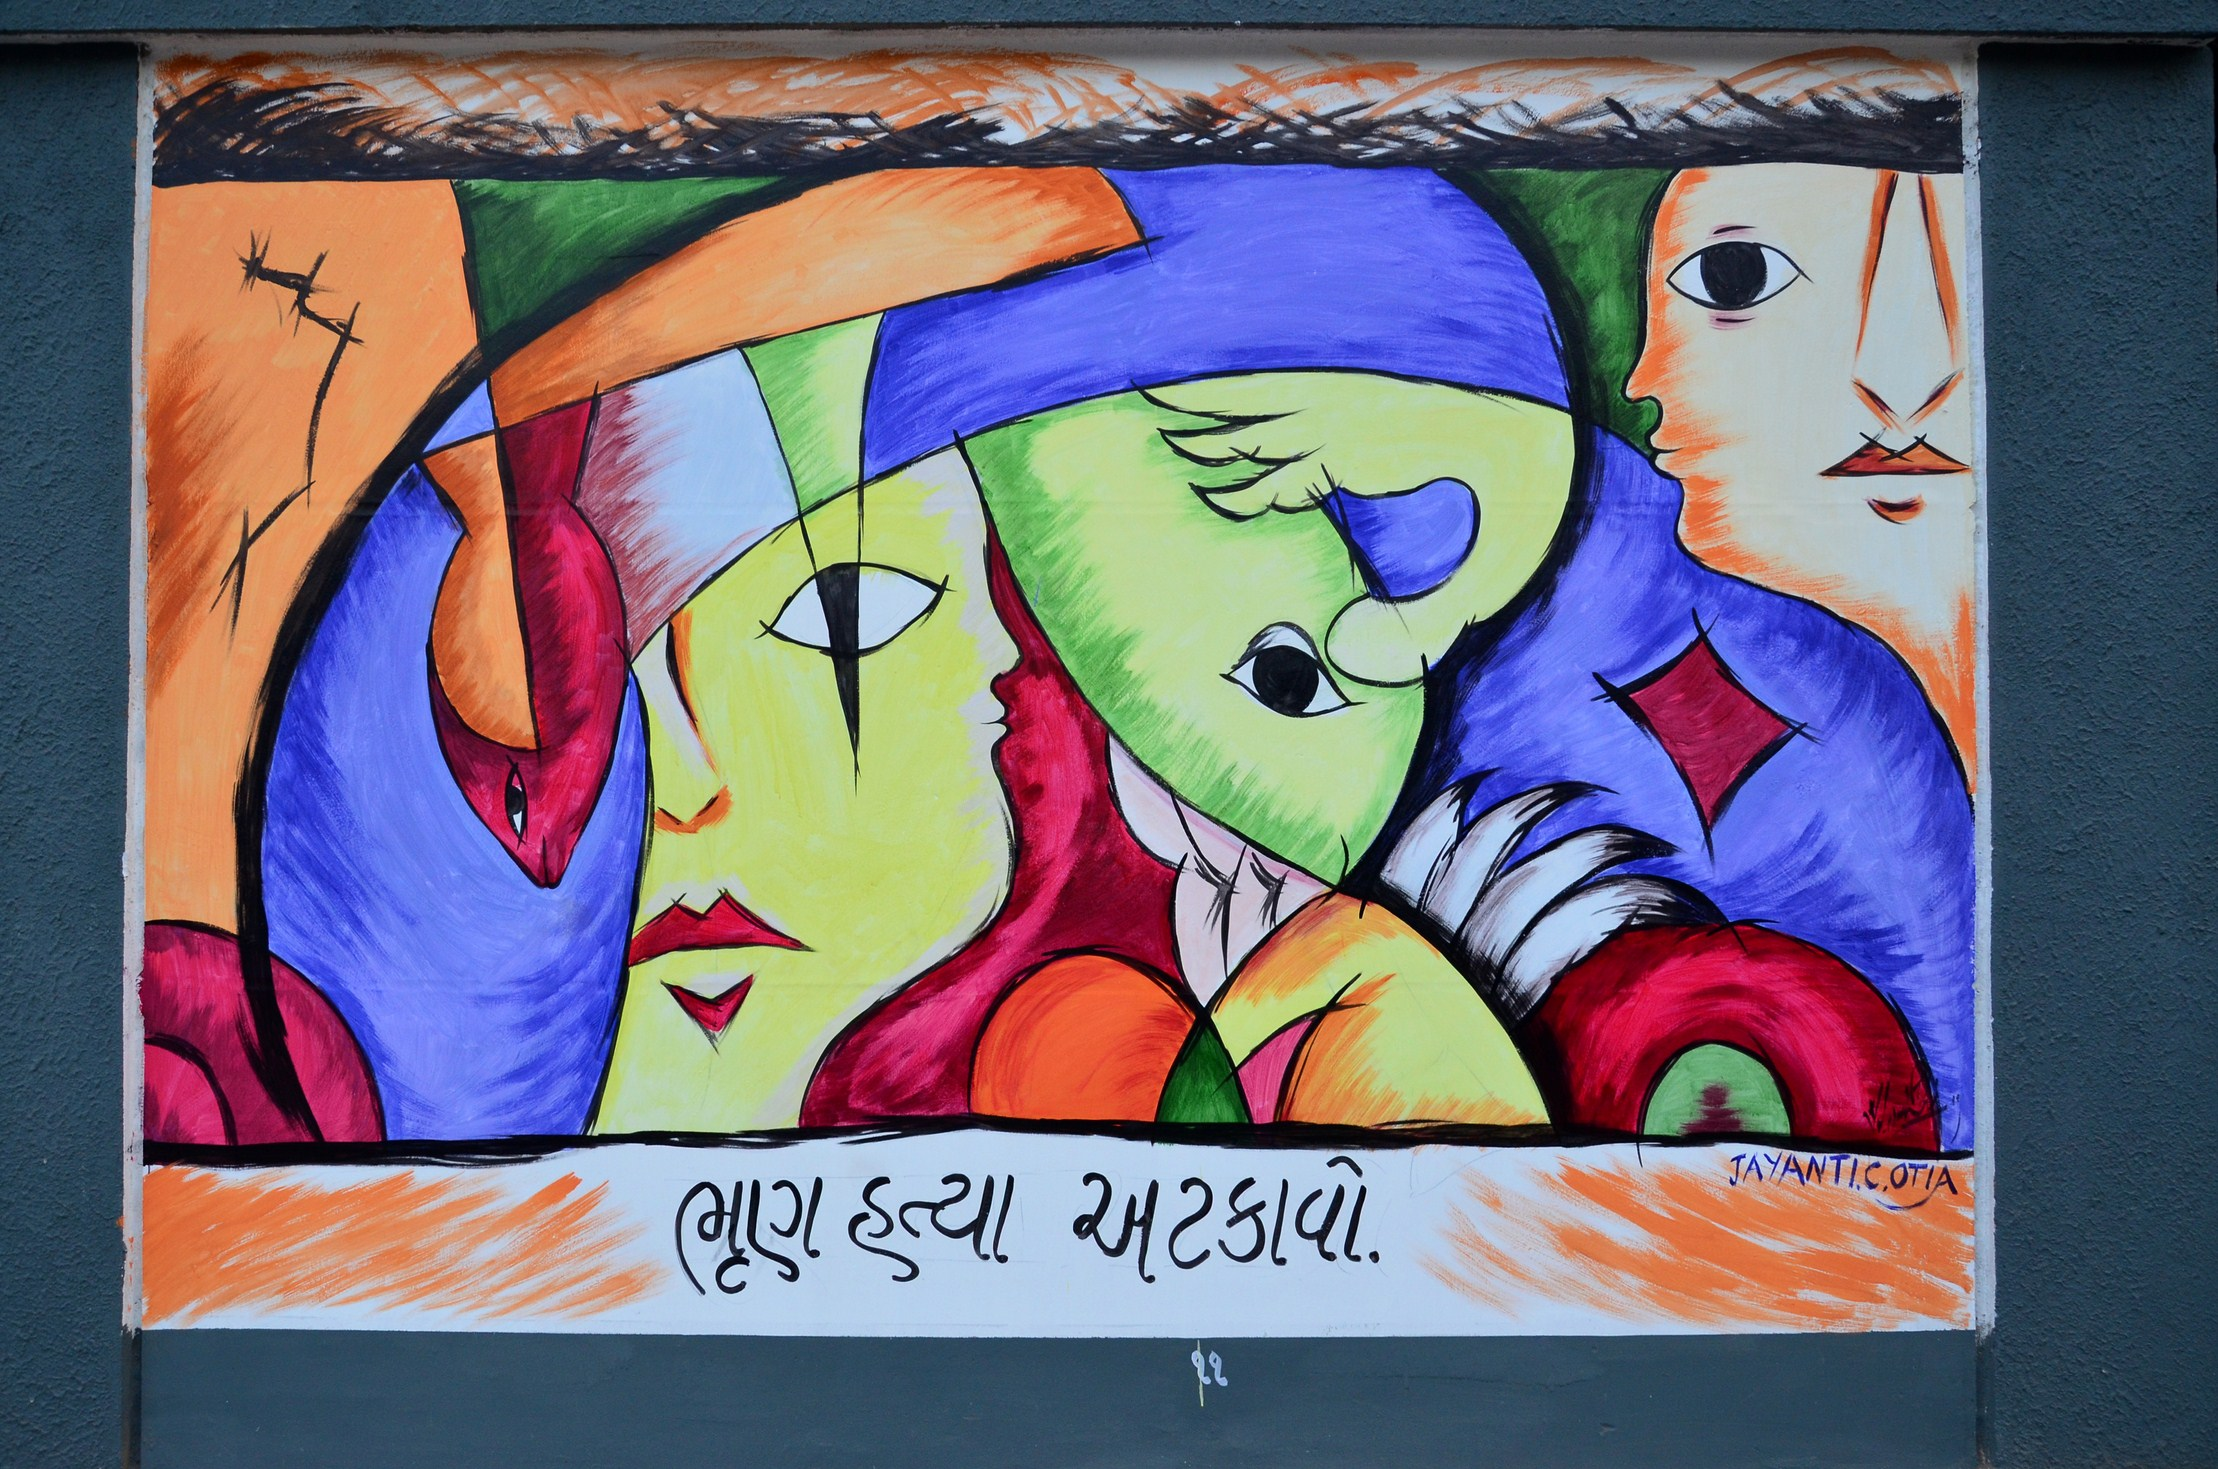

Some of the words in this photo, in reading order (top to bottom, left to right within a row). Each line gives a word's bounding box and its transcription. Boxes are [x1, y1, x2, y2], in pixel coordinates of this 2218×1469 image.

[669, 1160, 836, 1309] ભૃણ
[840, 1162, 1026, 1281] હત્યા
[1069, 1158, 1380, 1287] અટકાવો
[1727, 1148, 1959, 1198] JAYANTIC.OTIA